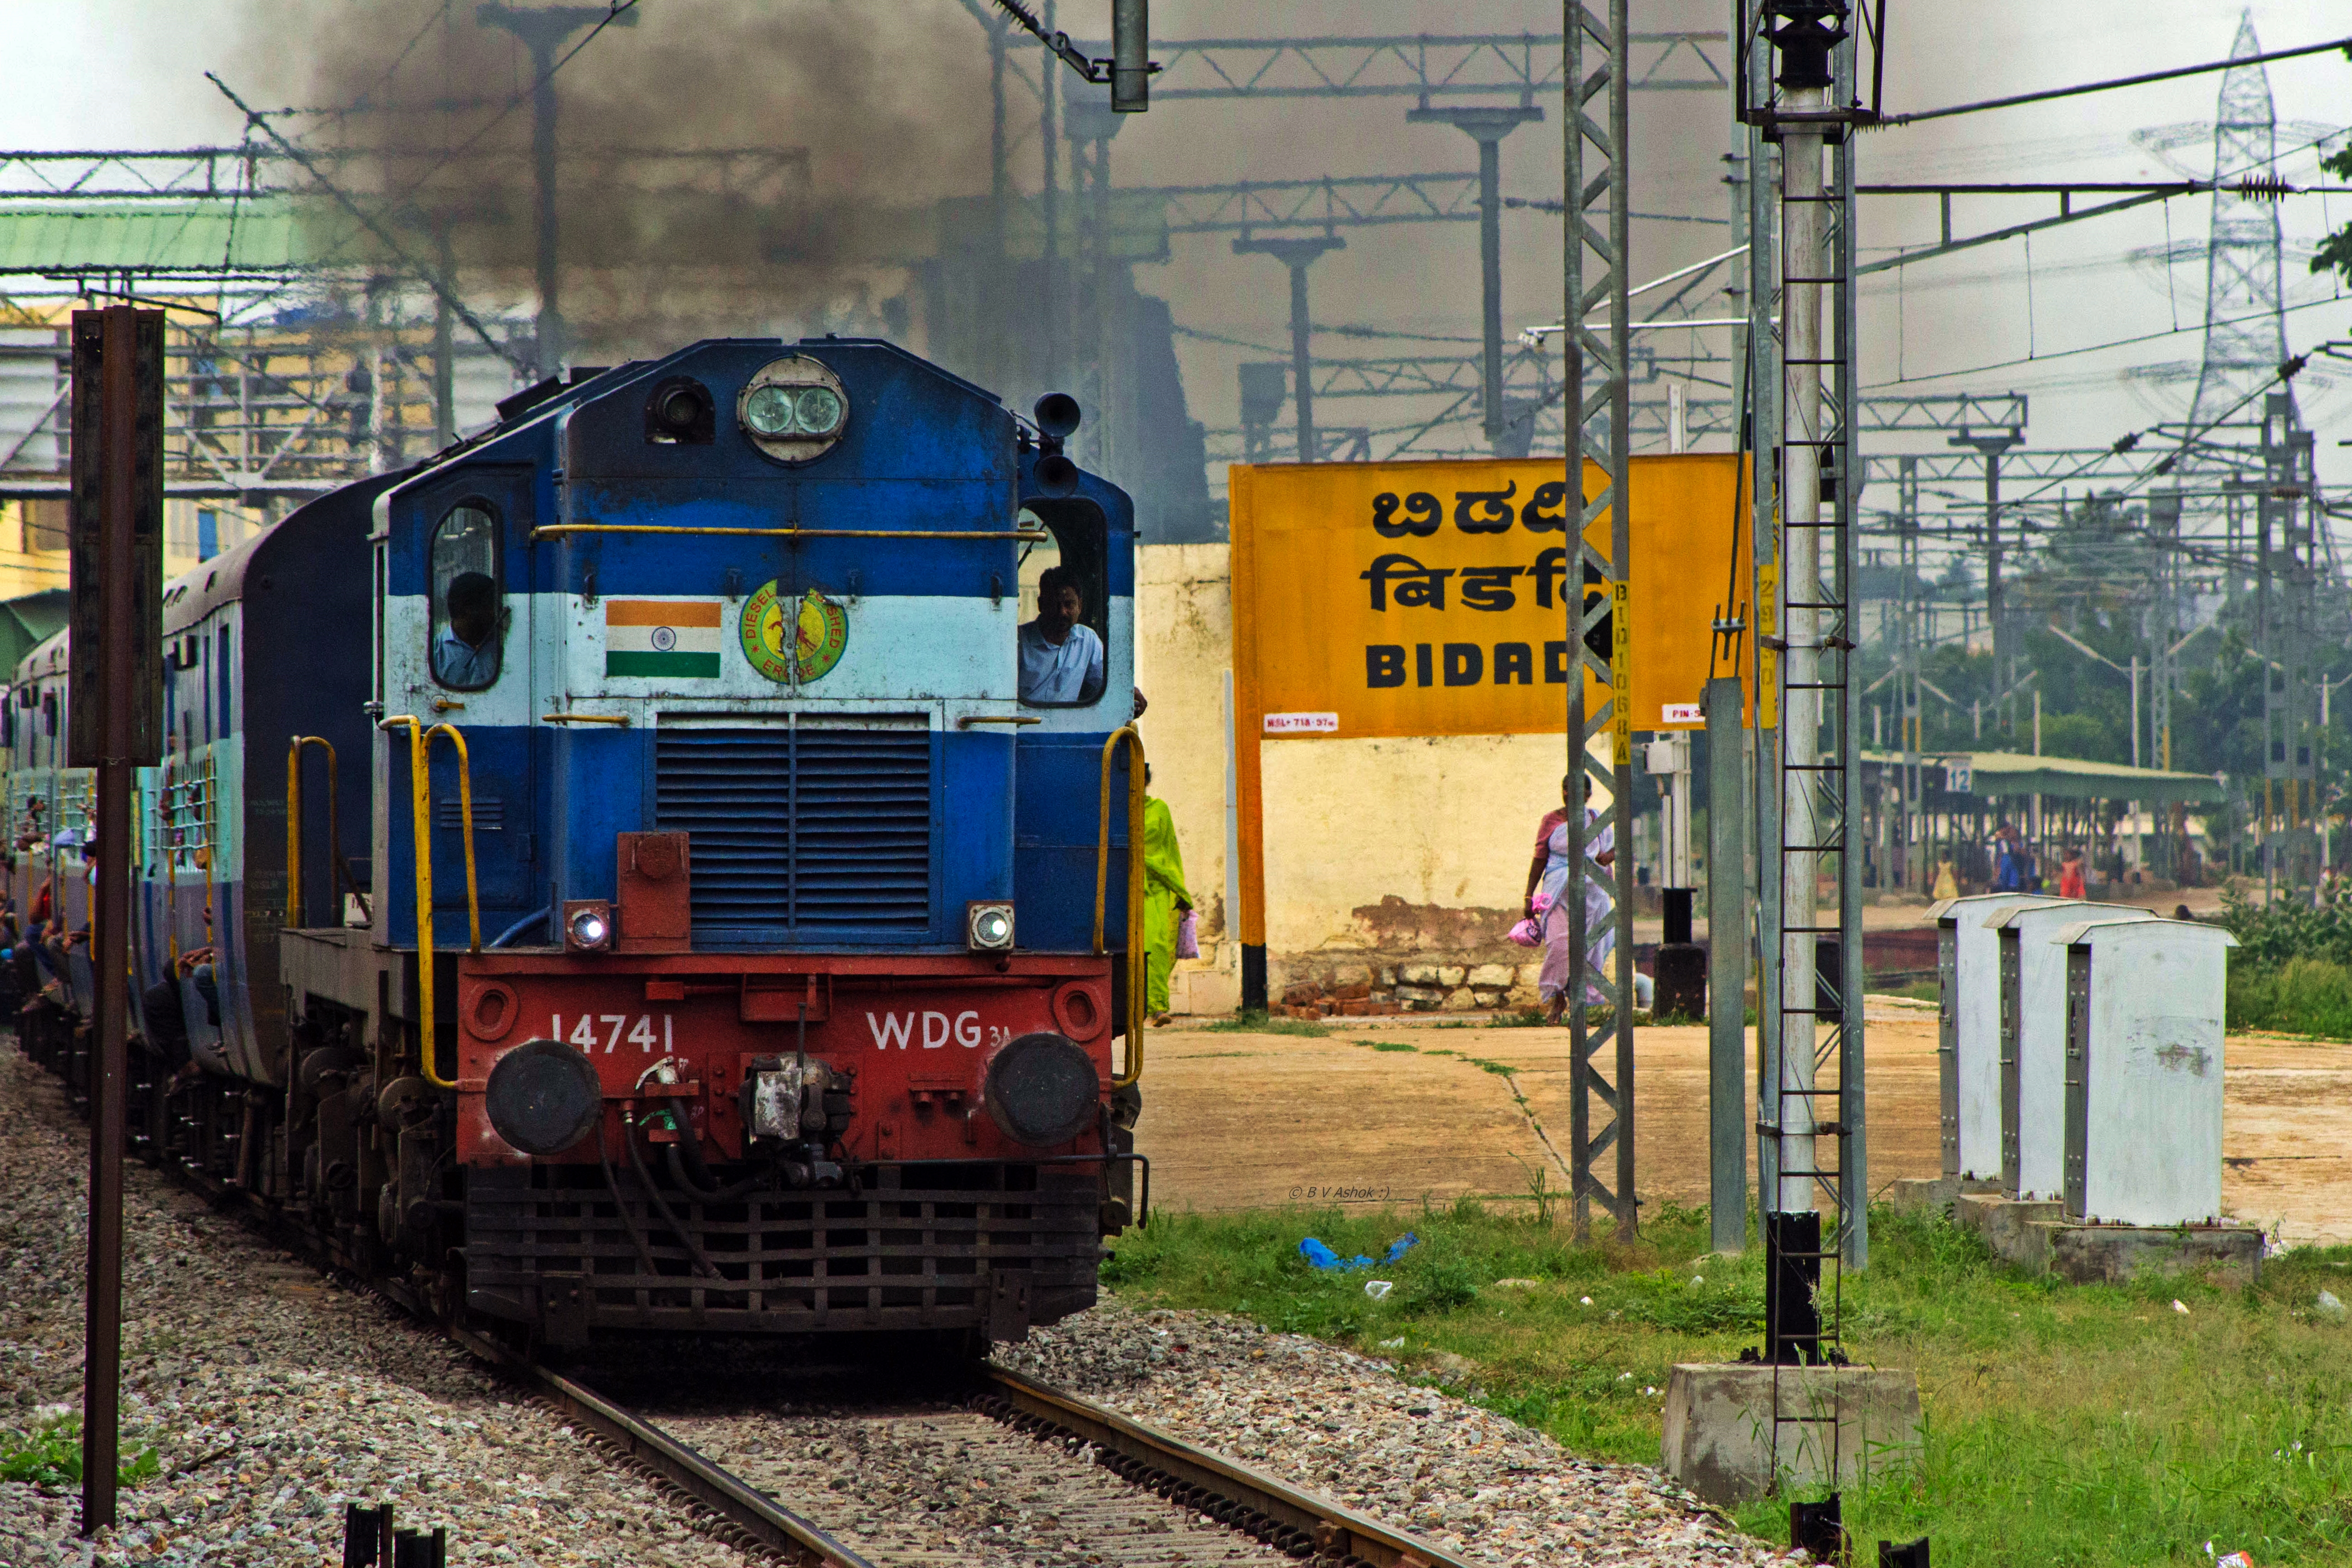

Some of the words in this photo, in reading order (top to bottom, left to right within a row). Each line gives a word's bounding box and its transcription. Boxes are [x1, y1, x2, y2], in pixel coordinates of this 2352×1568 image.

[1367, 475, 1595, 542] ೞಡದಿ
[1352, 537, 1612, 622] बिडदि
[1355, 634, 1617, 693] BIDAD
[543, 1011, 682, 1057] 14741
[859, 1006, 985, 1053] WDG